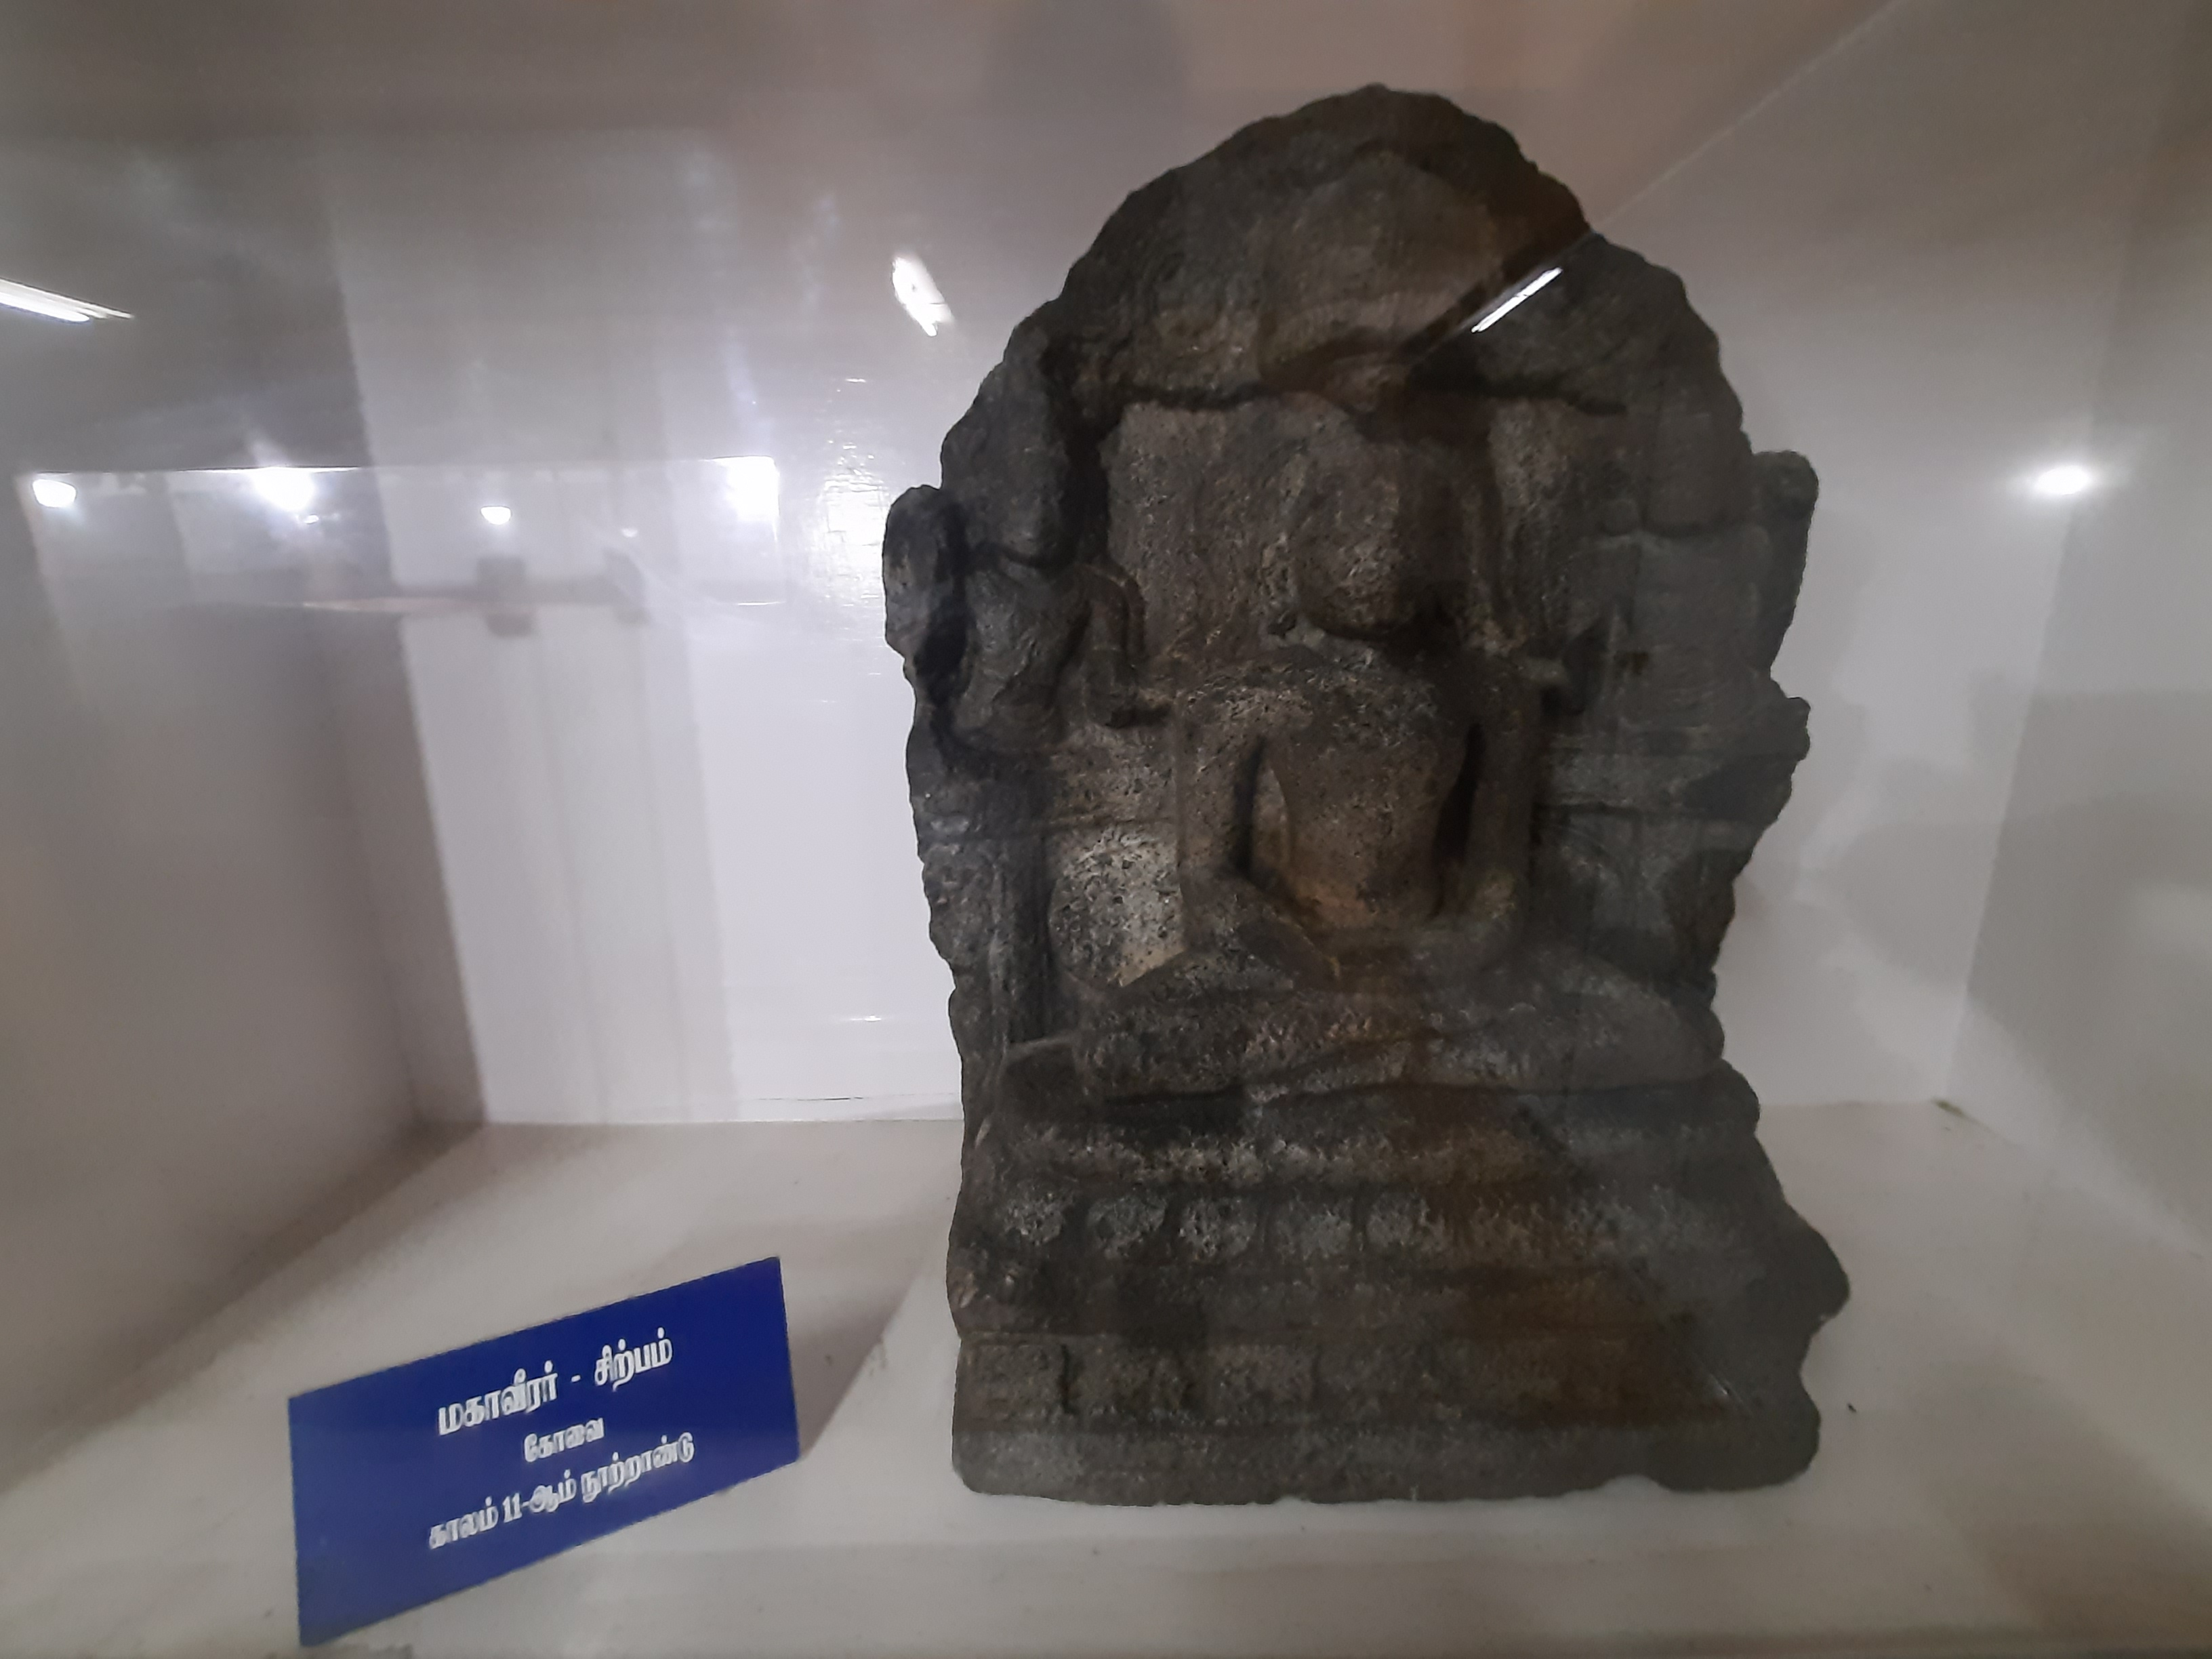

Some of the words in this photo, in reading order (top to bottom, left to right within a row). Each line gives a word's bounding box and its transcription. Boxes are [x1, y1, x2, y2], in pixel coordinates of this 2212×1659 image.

[591, 1324, 677, 1395] சிற்பம்
[435, 1356, 563, 1441] மகாவீரா்
[427, 1490, 504, 1555] காலம்
[497, 1466, 582, 1525] 11-ஆம்
[517, 1415, 607, 1467] கோவை
[574, 1429, 697, 1509] நூற்றரண்டு